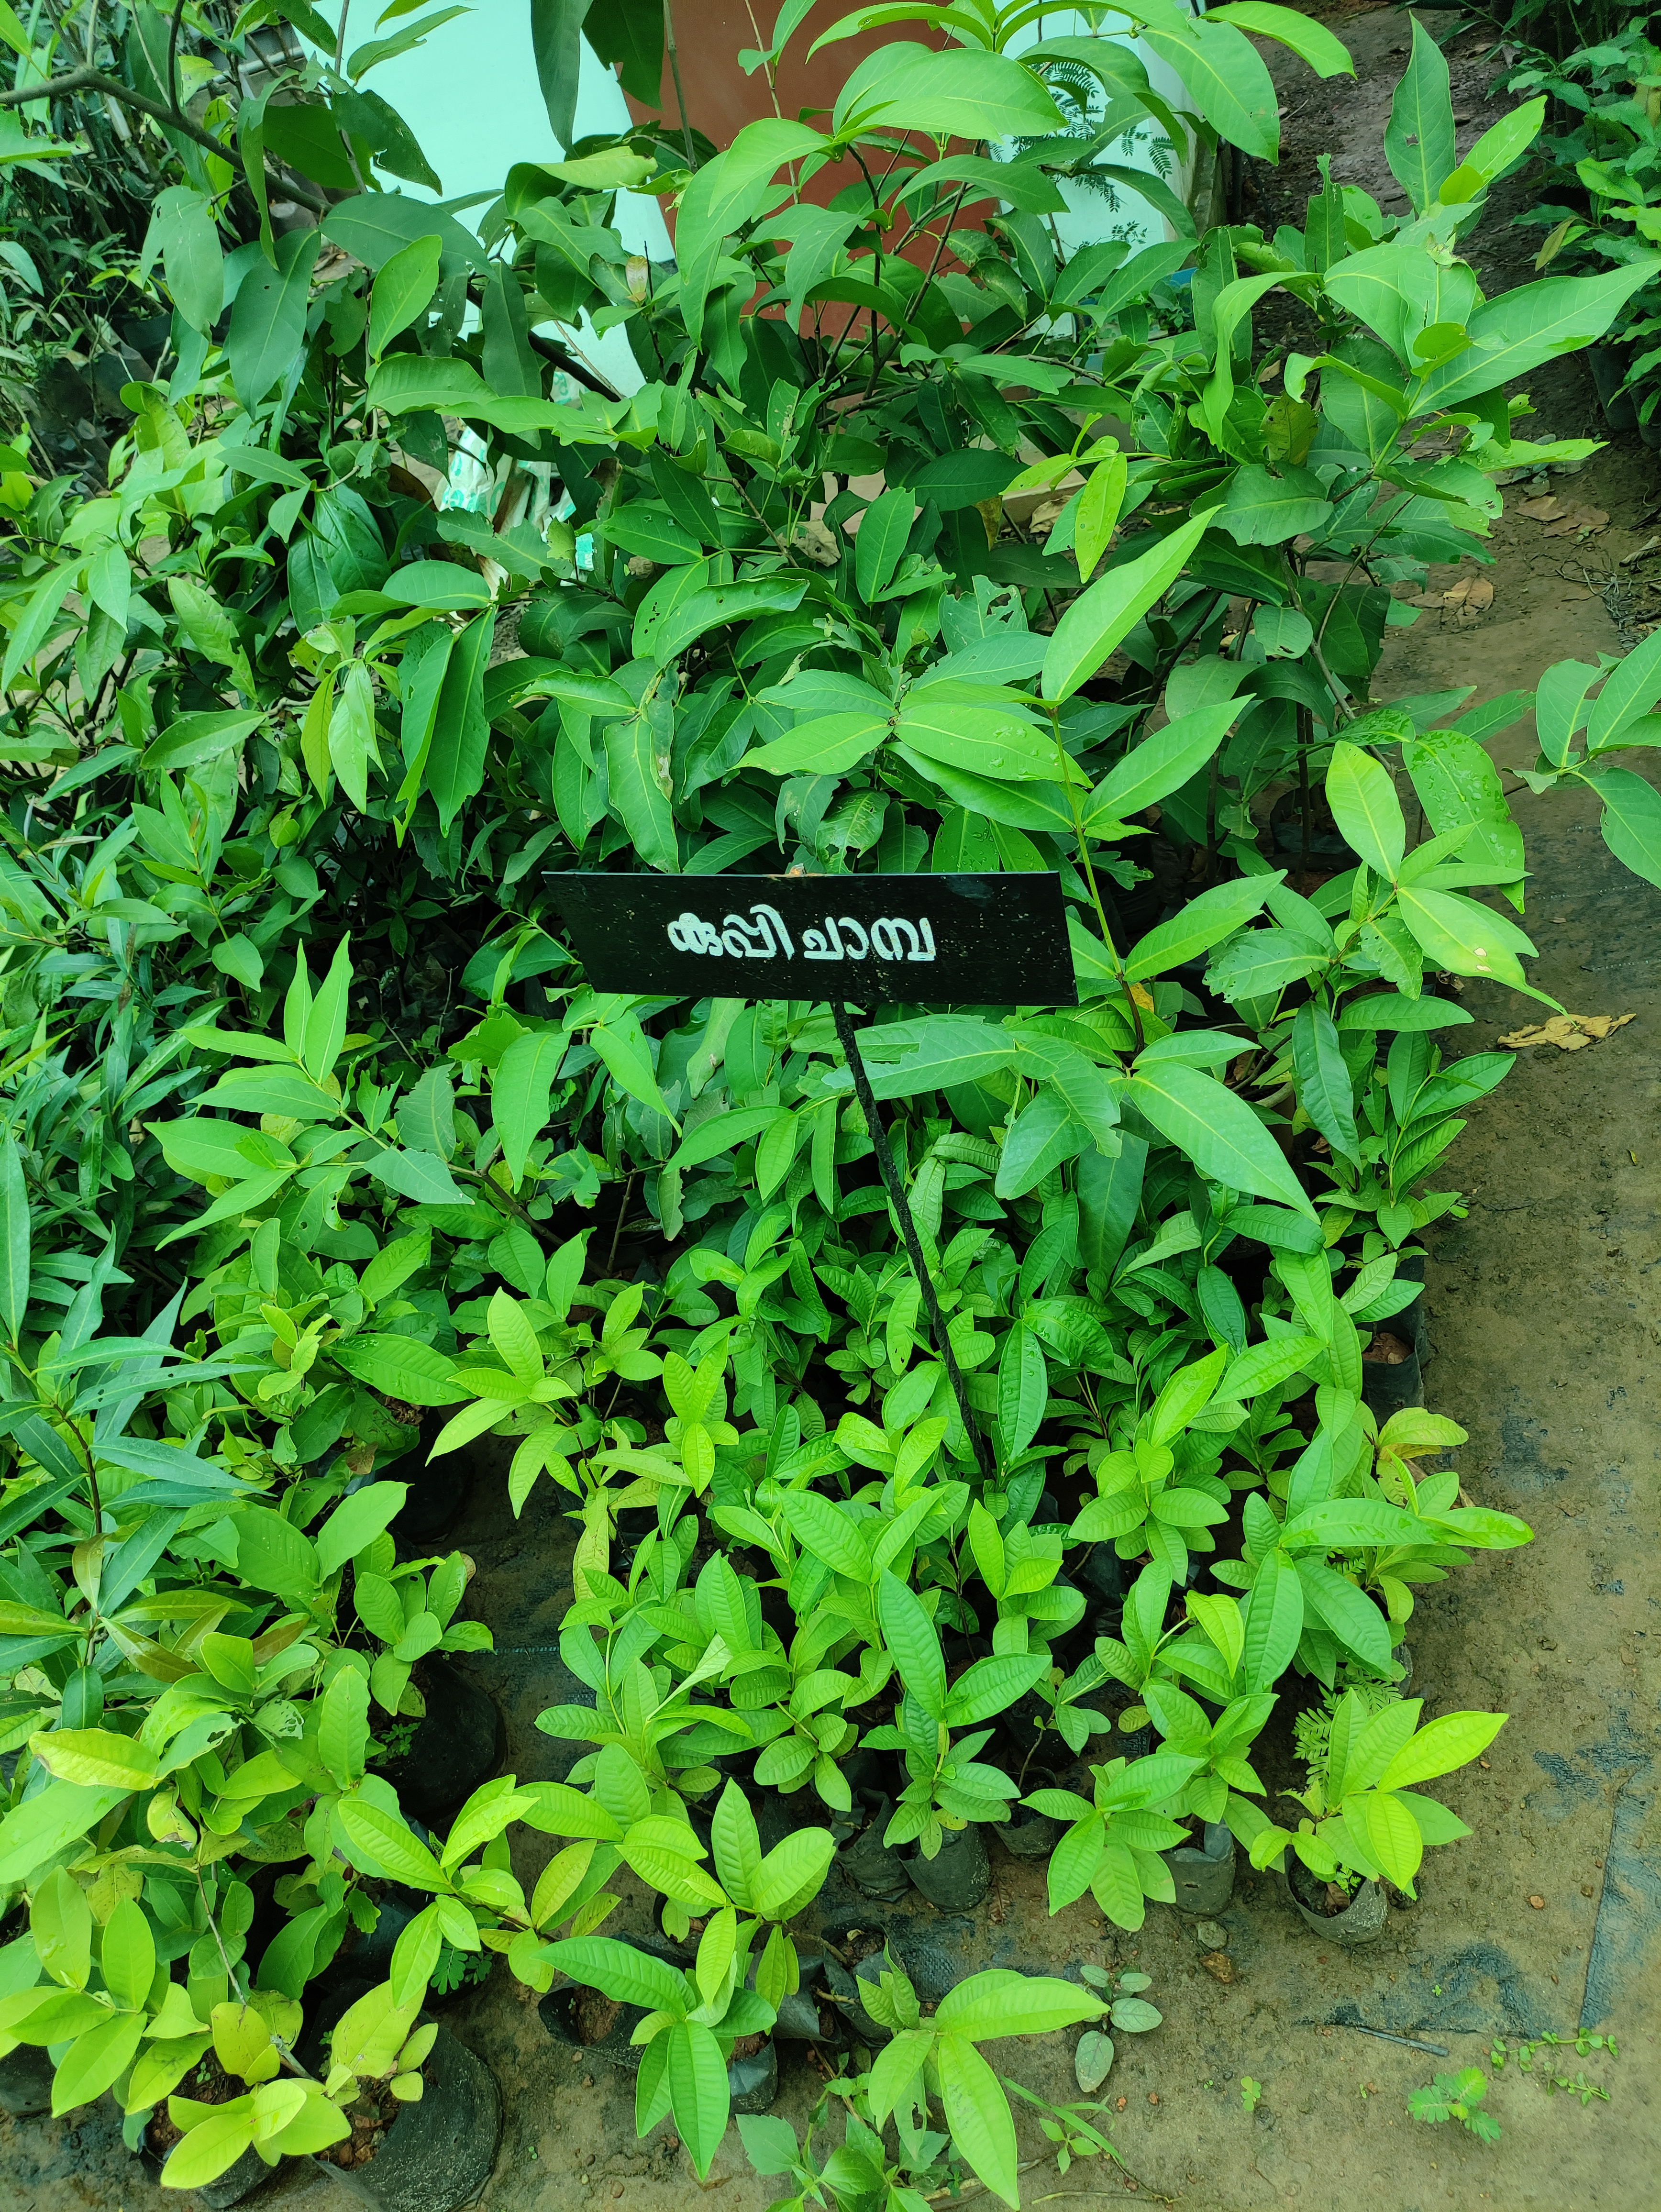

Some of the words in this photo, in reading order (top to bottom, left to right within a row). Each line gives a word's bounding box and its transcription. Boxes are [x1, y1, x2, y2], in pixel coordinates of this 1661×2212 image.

[656, 899, 798, 966] കുപ്പി
[796, 908, 943, 965] ചാമ്പ